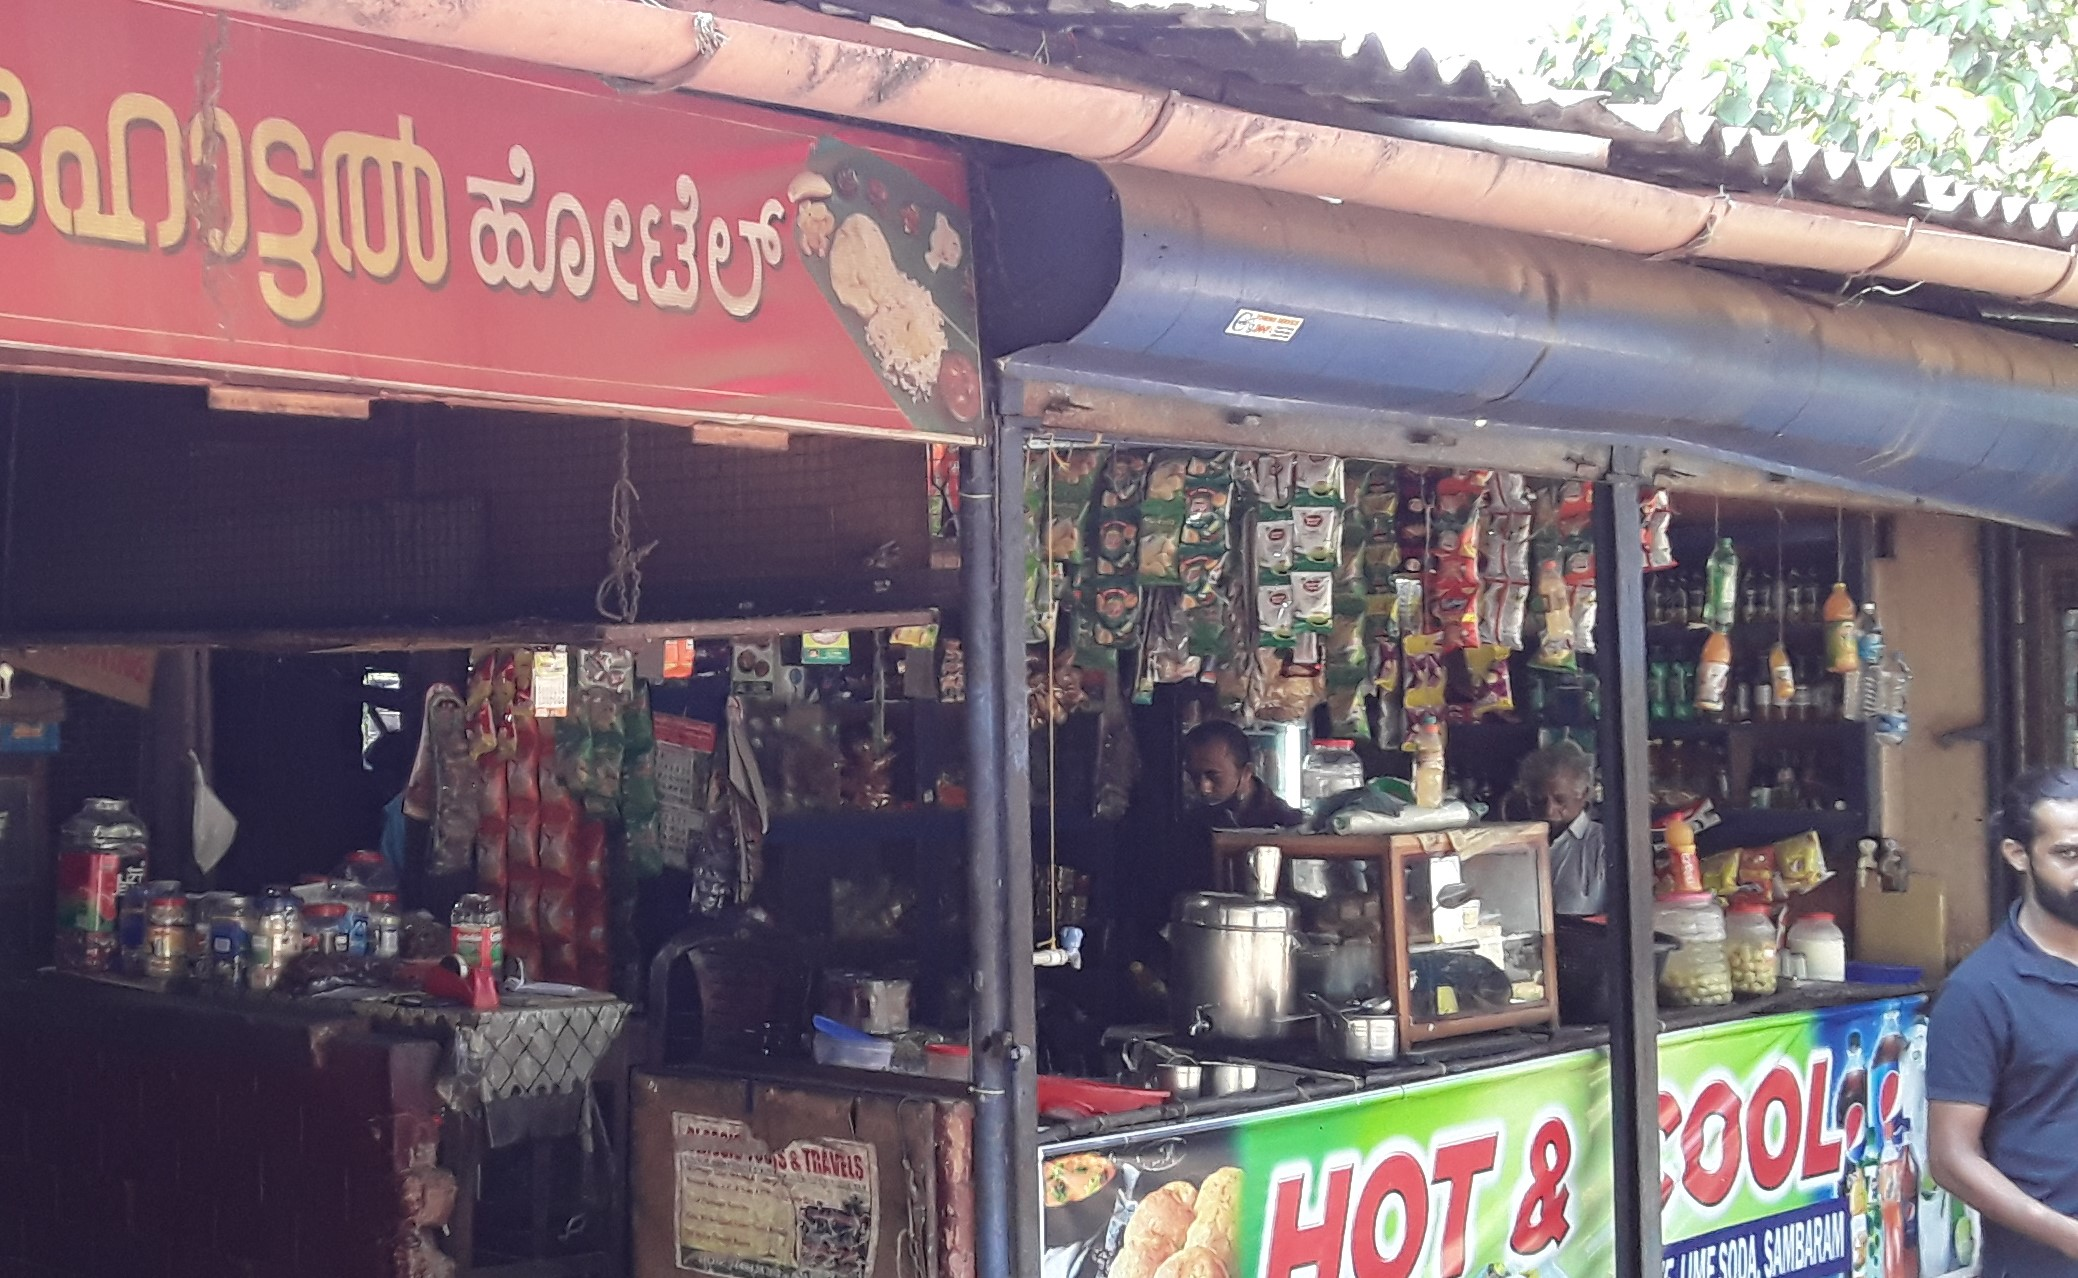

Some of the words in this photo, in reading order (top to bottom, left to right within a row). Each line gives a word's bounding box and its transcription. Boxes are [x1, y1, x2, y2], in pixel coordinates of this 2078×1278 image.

[0, 68, 461, 335] ഹാട്ടൽ
[460, 149, 798, 321] ಹೋಟೆಲ್
[793, 1143, 866, 1182] TRAVELS
[1261, 1122, 1507, 1278] HOT
[1646, 1028, 1909, 1222] COOL
[1757, 1201, 1851, 1275] SAMBARAM